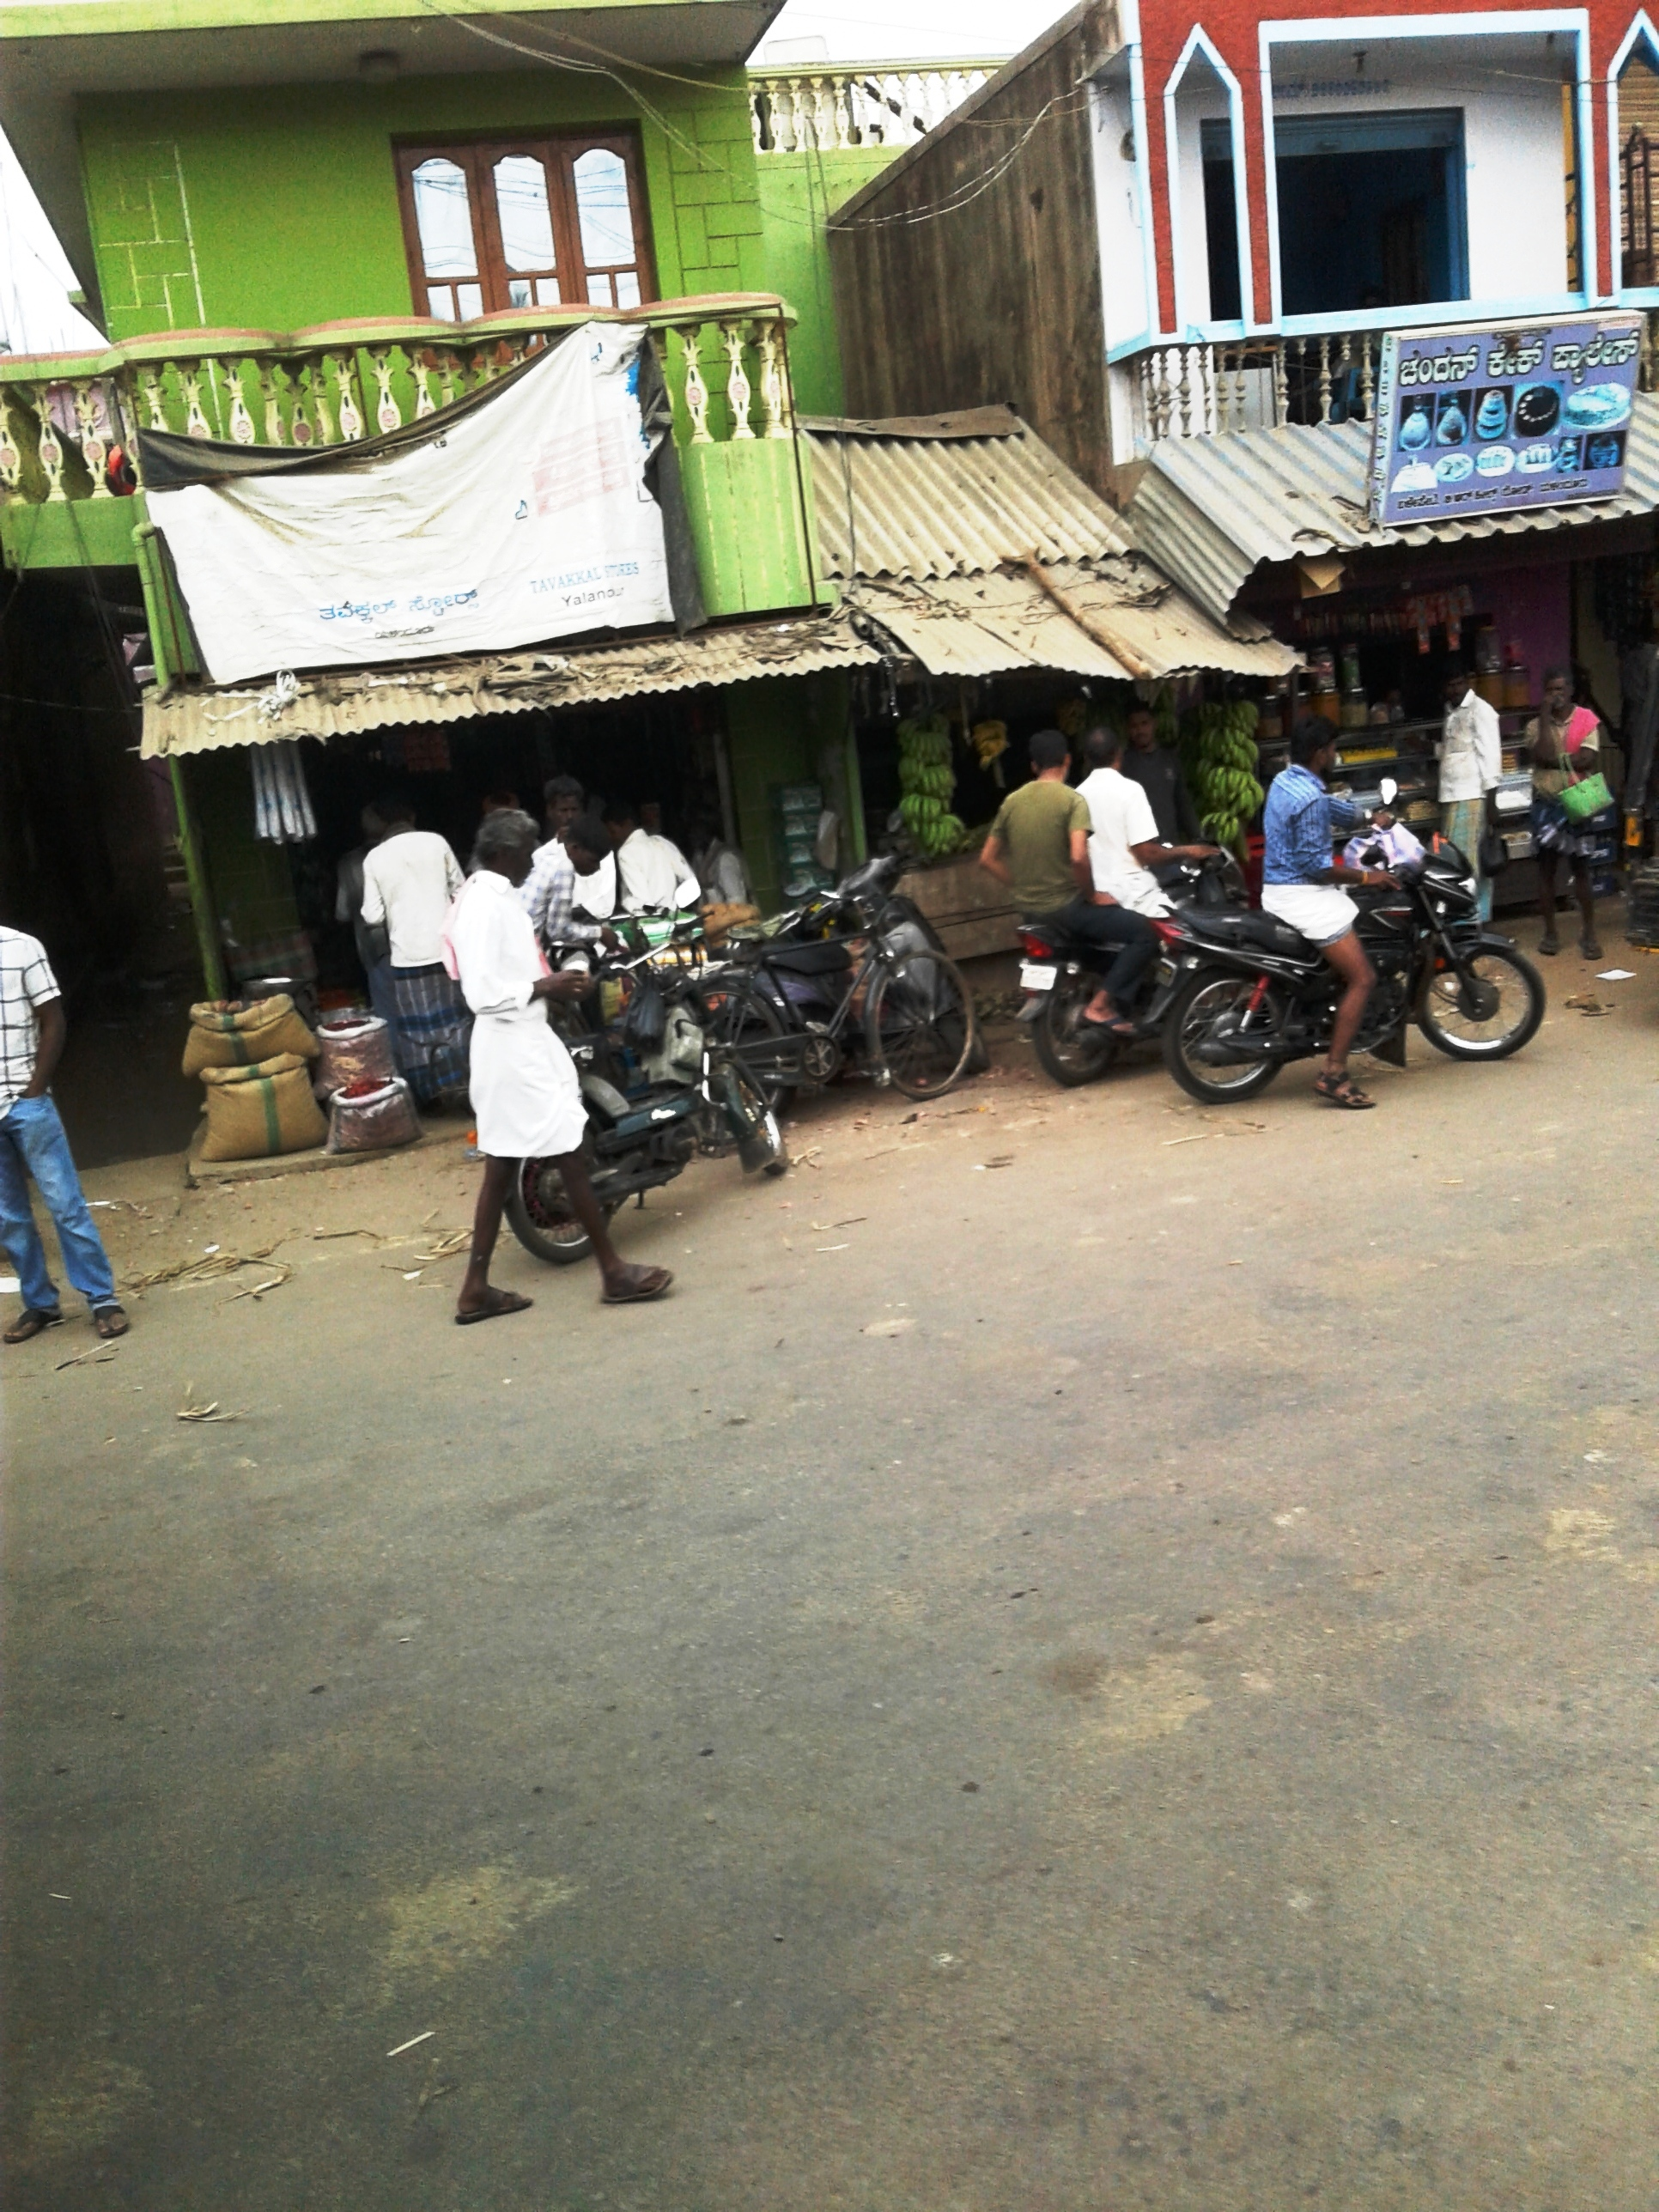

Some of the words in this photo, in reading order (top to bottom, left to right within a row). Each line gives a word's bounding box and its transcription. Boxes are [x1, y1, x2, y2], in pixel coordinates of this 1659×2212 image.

[1395, 337, 1483, 391] ಚಂದನ್
[1481, 335, 1547, 381] ಕೇಕ್
[1546, 325, 1641, 389] ಪ್ಯಾಲೇಸ್
[317, 593, 397, 630] ತವಕ್ಕಲ್
[402, 585, 483, 623] ಸೋರ್
[522, 562, 606, 601] TAVAKKAL
[555, 586, 629, 614] Yalana